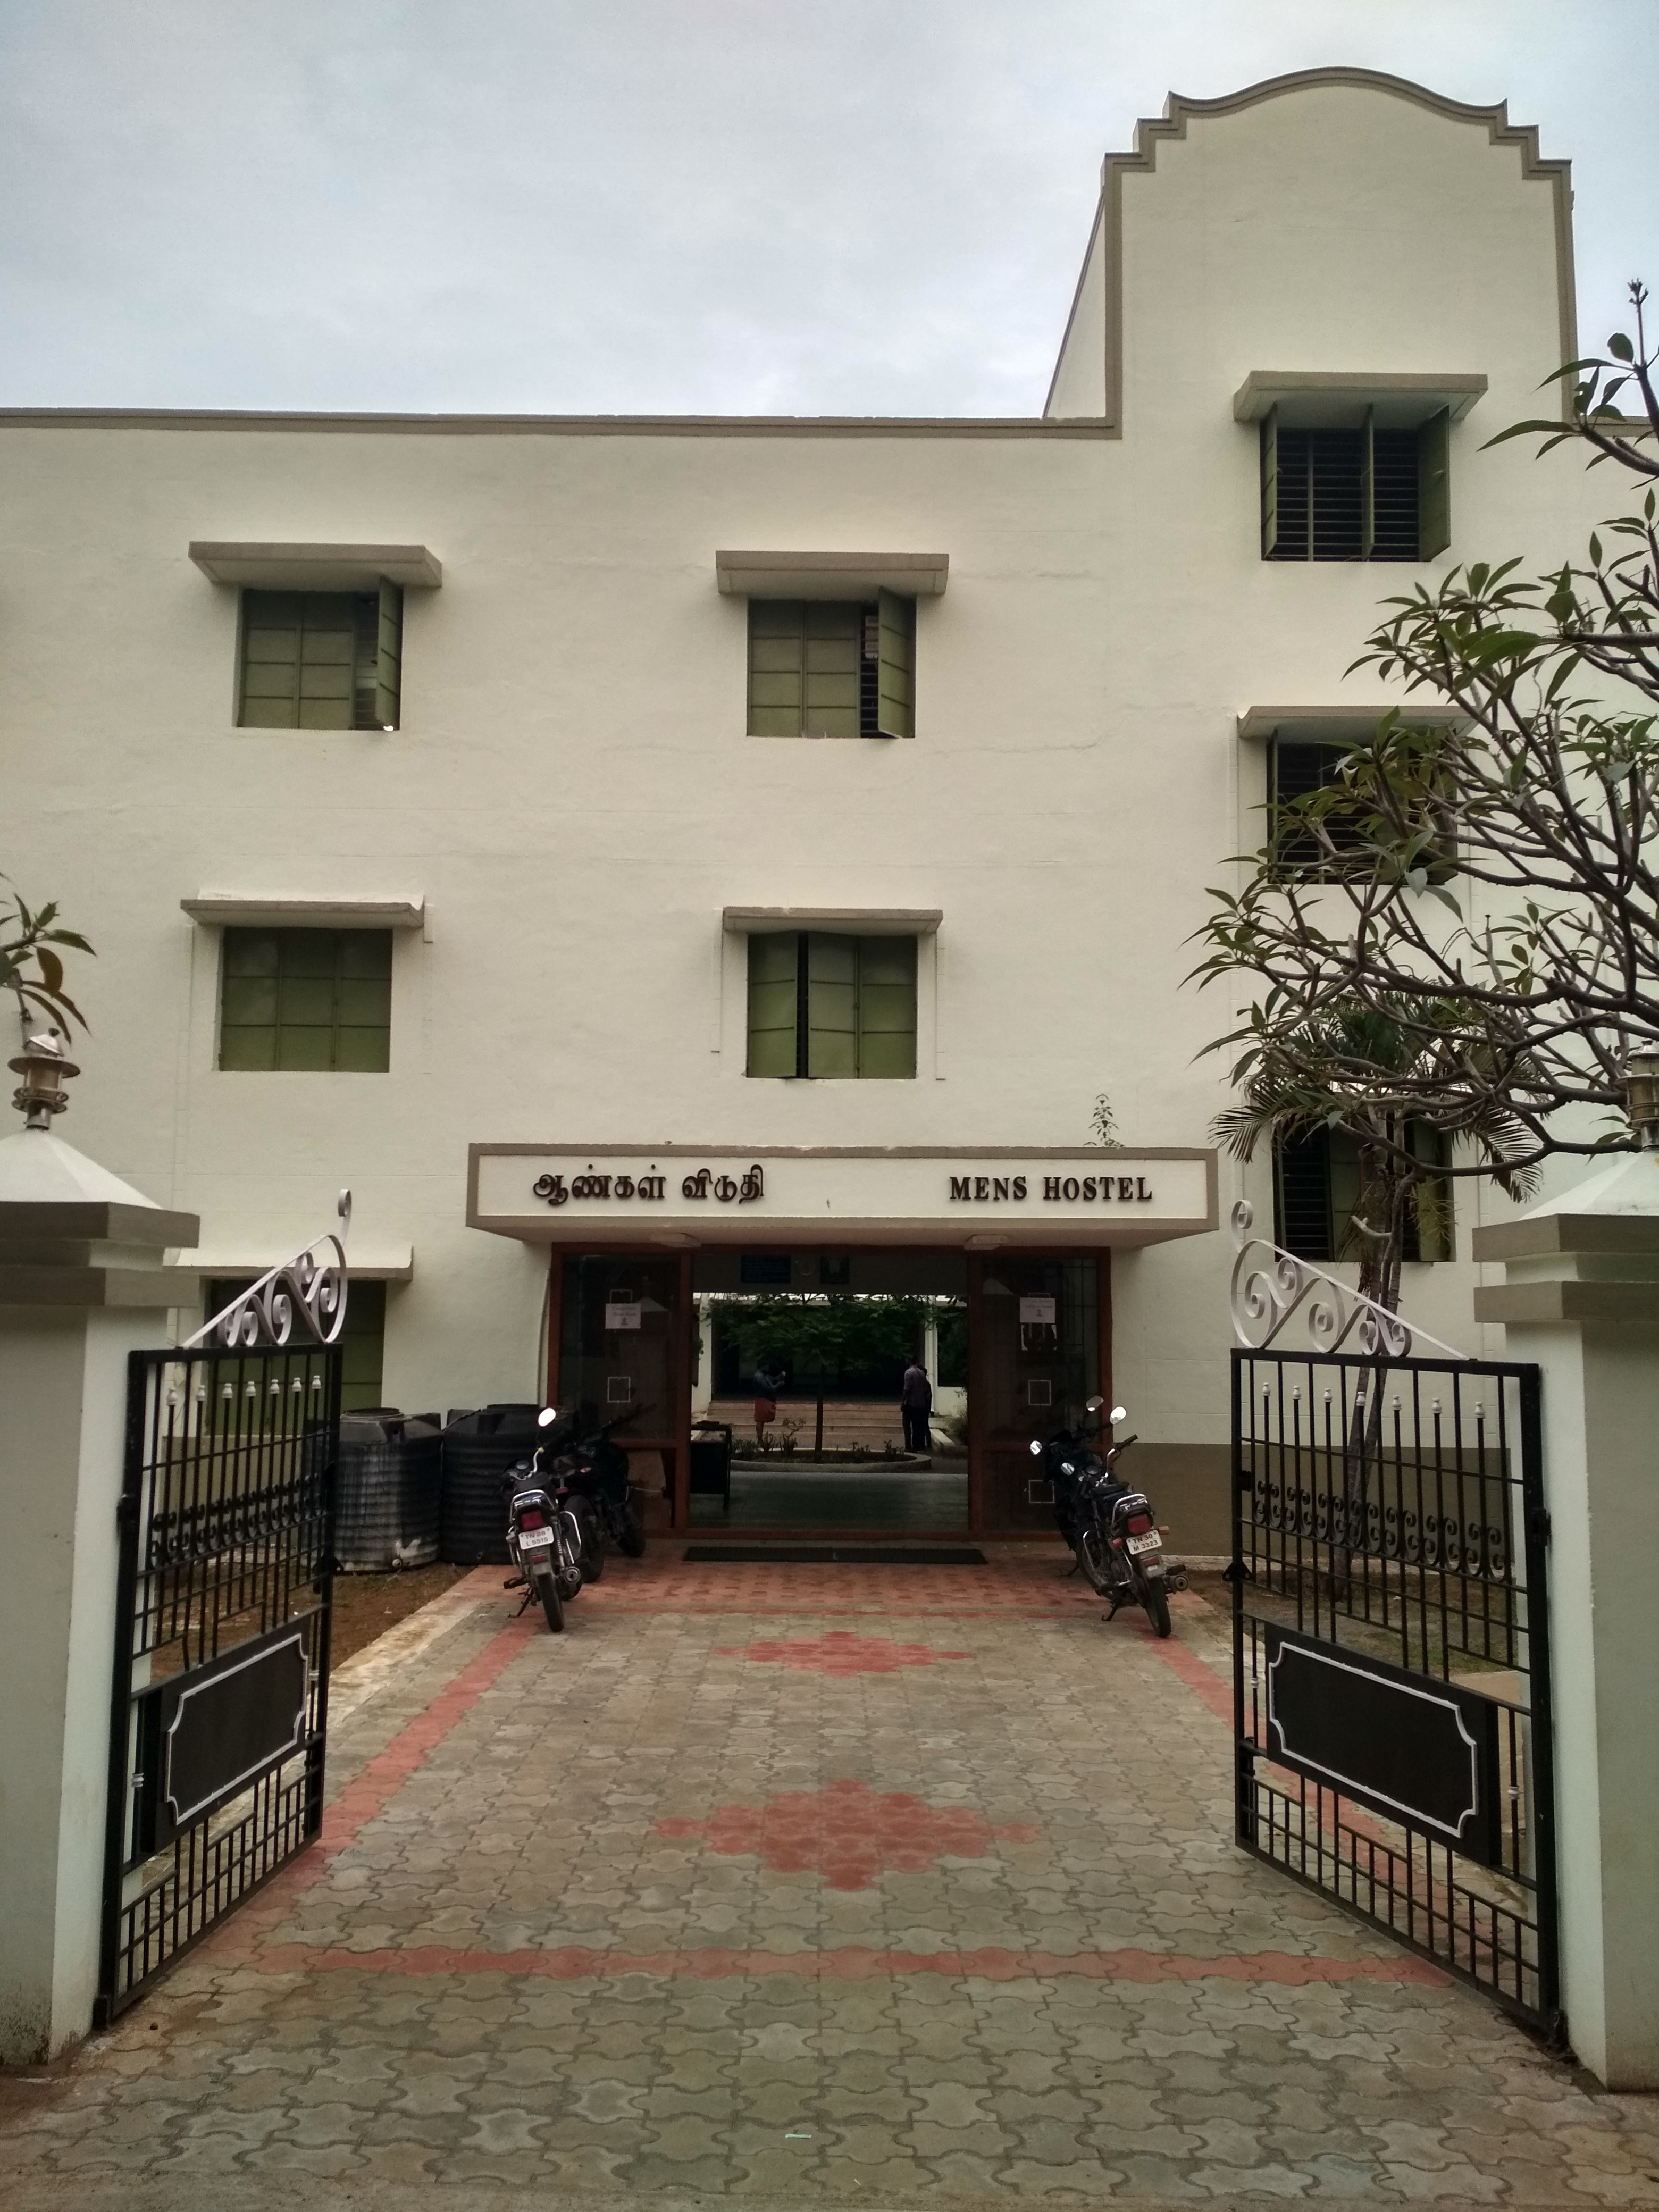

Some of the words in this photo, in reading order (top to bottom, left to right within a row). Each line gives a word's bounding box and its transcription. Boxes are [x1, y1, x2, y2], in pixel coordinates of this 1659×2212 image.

[530, 1162, 667, 1208] ஆண்கள்
[677, 1163, 767, 1208] விடுதி
[949, 1171, 1032, 1203] MENS
[1043, 1171, 1155, 1202] HOSTEL